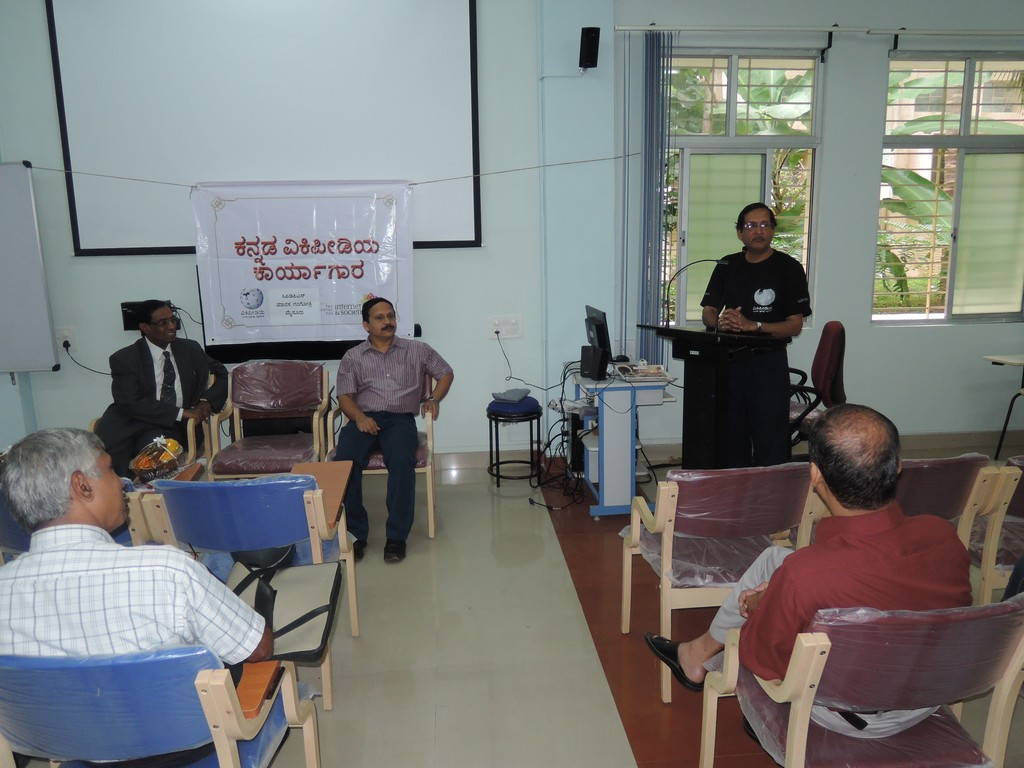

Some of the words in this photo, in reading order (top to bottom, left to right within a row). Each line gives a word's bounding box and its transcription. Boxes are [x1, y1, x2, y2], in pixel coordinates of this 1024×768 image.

[231, 228, 283, 269] ಕನ್ನಡ
[281, 230, 384, 259] ಎಕಿಪೀಡಿಯ
[253, 258, 369, 284] ಕಾರ್ಯಾಗಾರ